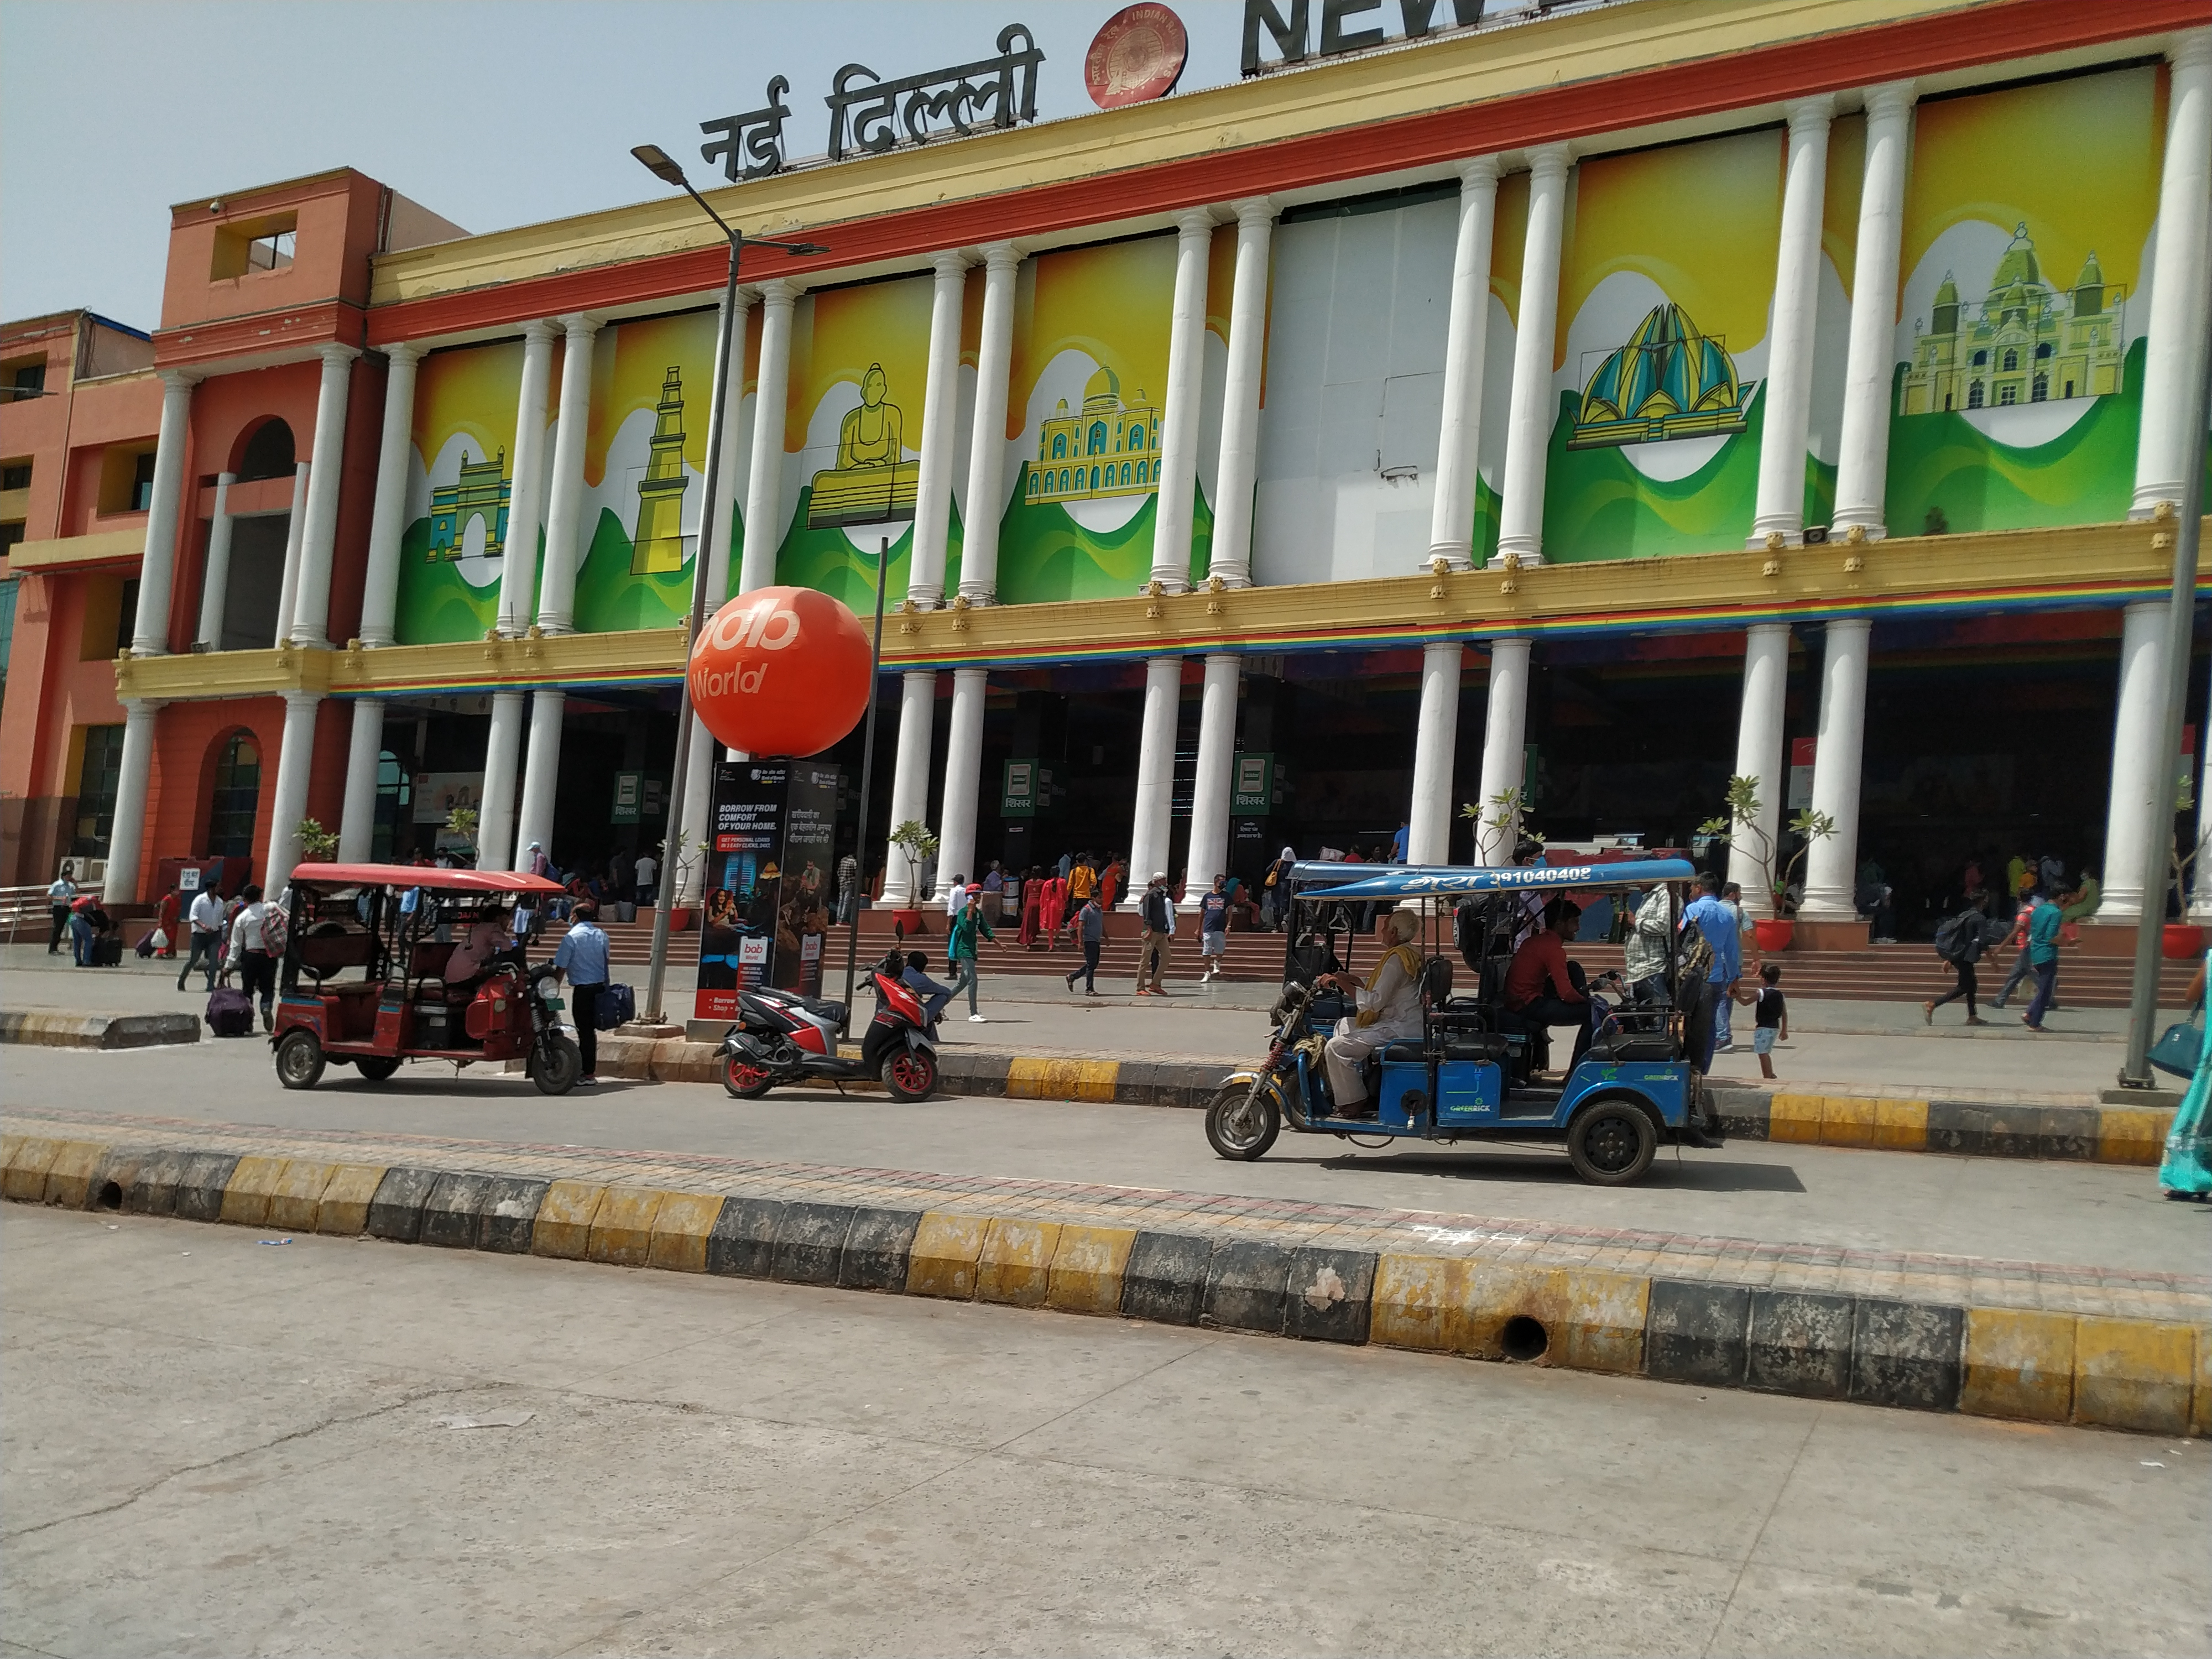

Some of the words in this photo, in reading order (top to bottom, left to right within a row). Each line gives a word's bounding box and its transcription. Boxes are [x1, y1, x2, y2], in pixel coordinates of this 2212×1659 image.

[824, 22, 1047, 161] दिल्ली
[698, 75, 791, 182] नई
[691, 661, 771, 702] World
[718, 802, 755, 814] BORROW
[717, 811, 758, 822] COMFORT
[753, 802, 779, 813] FROM
[790, 805, 815, 822] खरीददारी
[811, 810, 822, 821] का
[716, 820, 731, 833] OF
[728, 820, 753, 832] YOUR
[750, 819, 778, 832] HOME
[787, 821, 801, 833] एकां
[816, 822, 834, 836] अनुभव
[802, 832, 819, 846] जगहों
[814, 835, 825, 845] पर